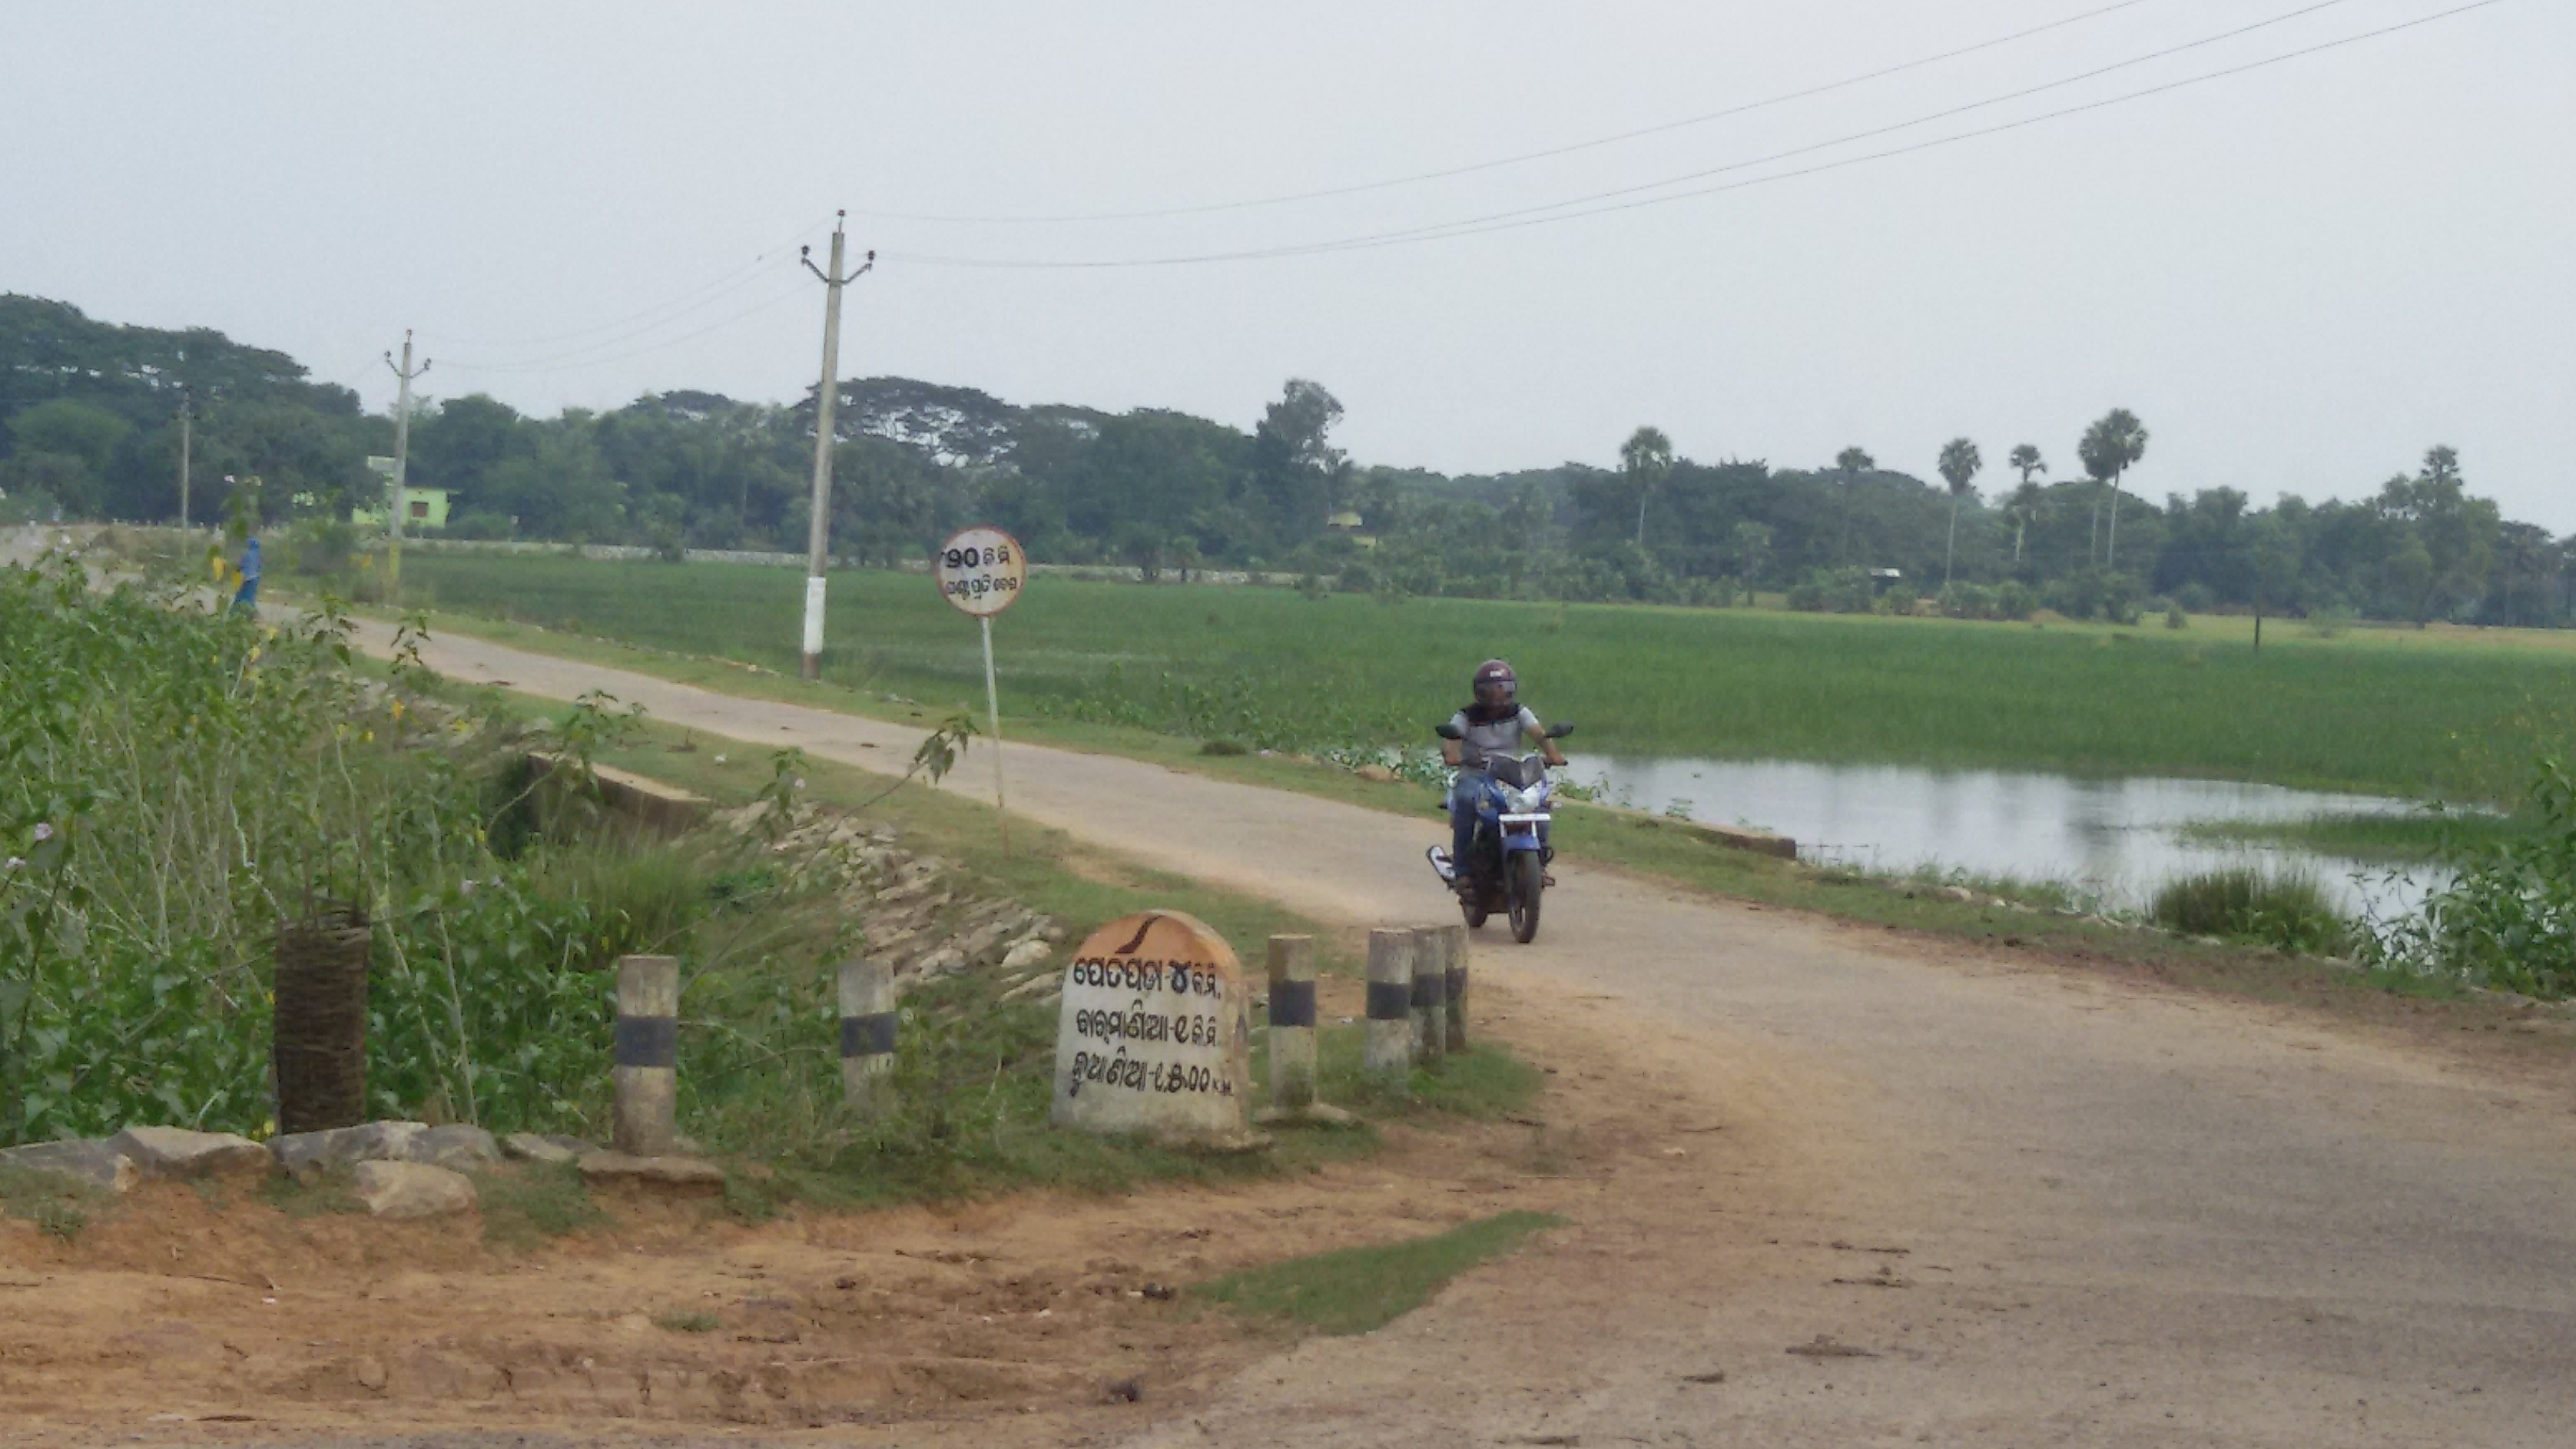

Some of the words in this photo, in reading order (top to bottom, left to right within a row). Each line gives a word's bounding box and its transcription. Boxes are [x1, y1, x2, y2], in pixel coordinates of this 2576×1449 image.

[1069, 953, 1168, 999] ପେତପଡ଼ା
[1063, 985, 1174, 1047] ବାରମାଣିଆ-